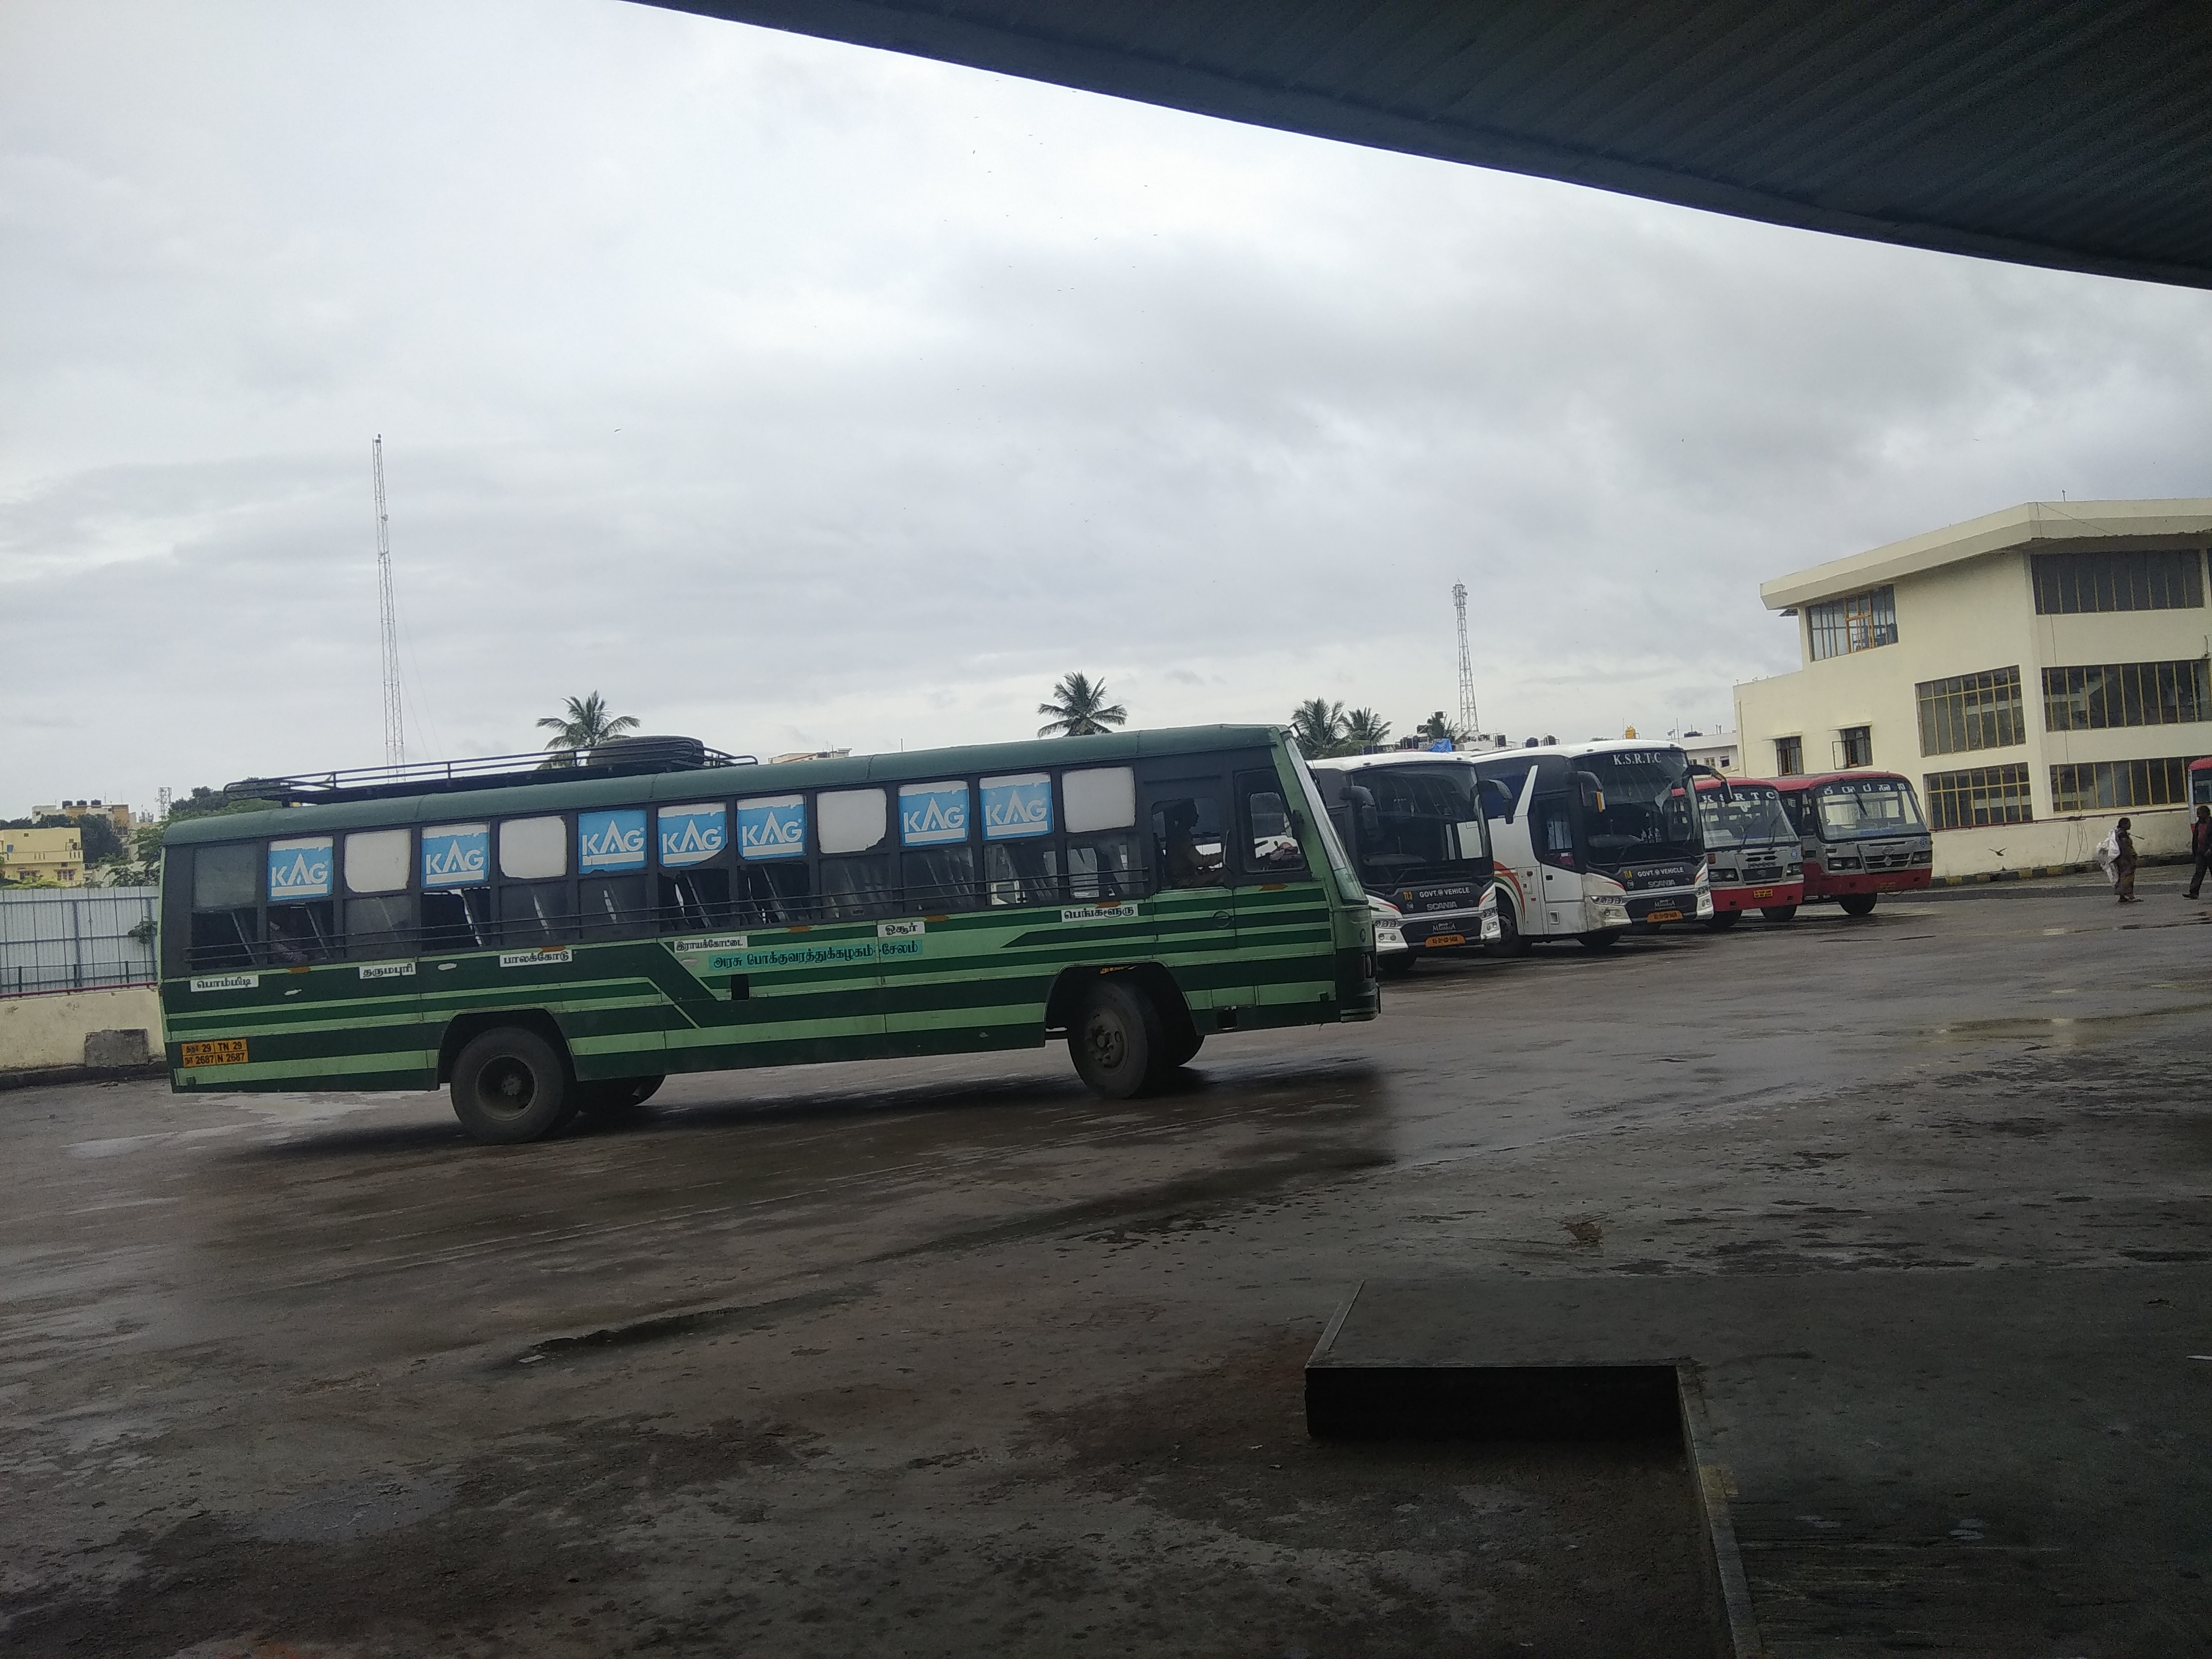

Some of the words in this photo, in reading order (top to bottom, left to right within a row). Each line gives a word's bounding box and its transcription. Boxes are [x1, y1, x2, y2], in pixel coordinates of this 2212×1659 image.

[1612, 748, 1664, 770] K.S.R.T.C
[1697, 789, 1779, 805] KSRTC
[580, 817, 646, 859] KAG
[661, 815, 723, 855] KAG
[740, 807, 803, 849] KAG
[422, 834, 484, 875] KAG
[269, 848, 330, 888] KAG
[1634, 866, 1656, 880] GOVT.
[1658, 865, 1686, 877] VEHICLE
[1417, 884, 1440, 902] GOVT.
[1443, 884, 1474, 897] VEHICLE
[1645, 877, 1679, 890] SCANIA
[1062, 902, 1137, 923] பெங்களூரு
[1425, 900, 1460, 914] SCANIA
[882, 920, 919, 940] ஓசூர்
[361, 959, 414, 978] தருமபுரி
[495, 942, 577, 969] பாலக்கோடு
[673, 936, 745, 954] இராயக்கோட்டை
[711, 951, 745, 971] அரசு
[743, 942, 876, 968] பொக்குவரத்துக்கழகம்
[879, 937, 920, 959] சேலம்
[194, 973, 254, 990] பொம்மிடி